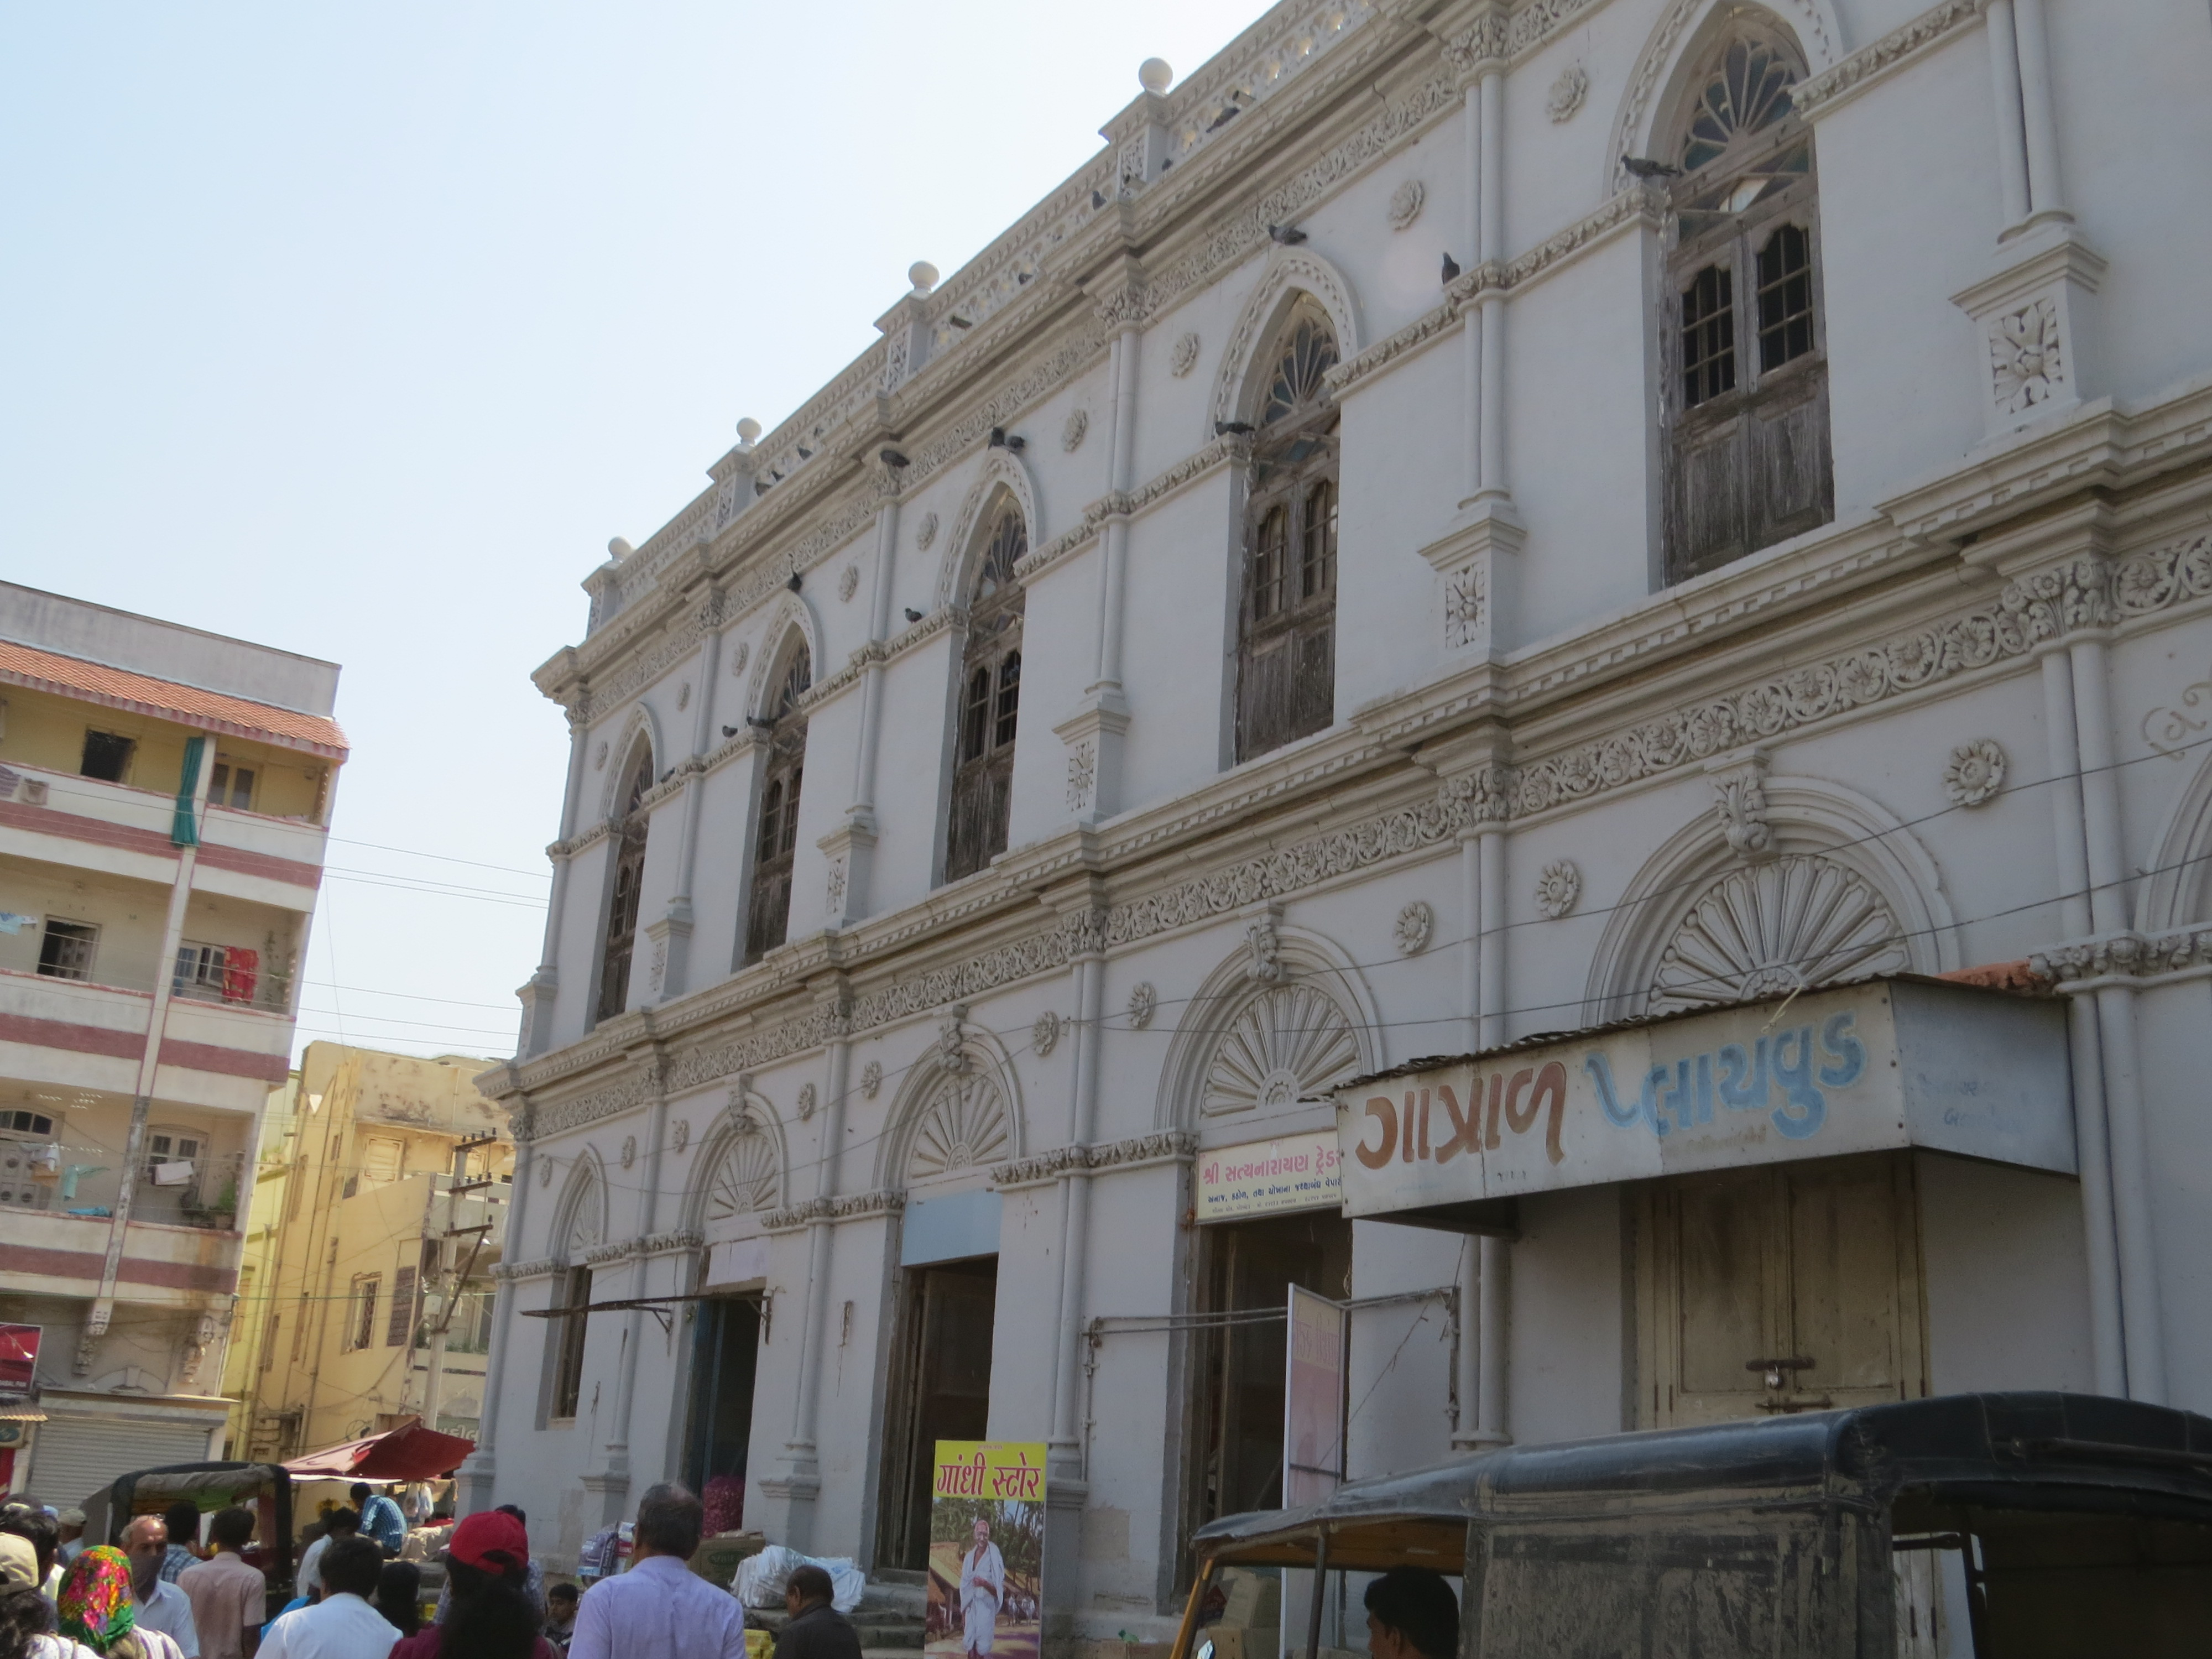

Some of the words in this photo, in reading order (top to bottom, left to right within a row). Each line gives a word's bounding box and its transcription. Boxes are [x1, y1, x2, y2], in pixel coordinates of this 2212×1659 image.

[1575, 1002, 1876, 1151] પ્લાયવુડ
[1344, 1055, 1570, 1175] ગાત્રાળ
[1201, 1160, 1219, 1187] શ્રી
[1203, 1193, 1228, 1204] સનાજ,
[1229, 1188, 1248, 1201] કઠોળ,
[1251, 1187, 1265, 1198] તથા
[1224, 1152, 1311, 1183] સત્યનારાયણ
[1267, 1183, 1292, 1193] ચોખાના
[1293, 1177, 1322, 1191] જથ્થાબંધ
[1314, 1142, 1340, 1175] ટ્રેડર
[932, 1449, 991, 1498] गांधी
[988, 1449, 1044, 1498] स्टोर